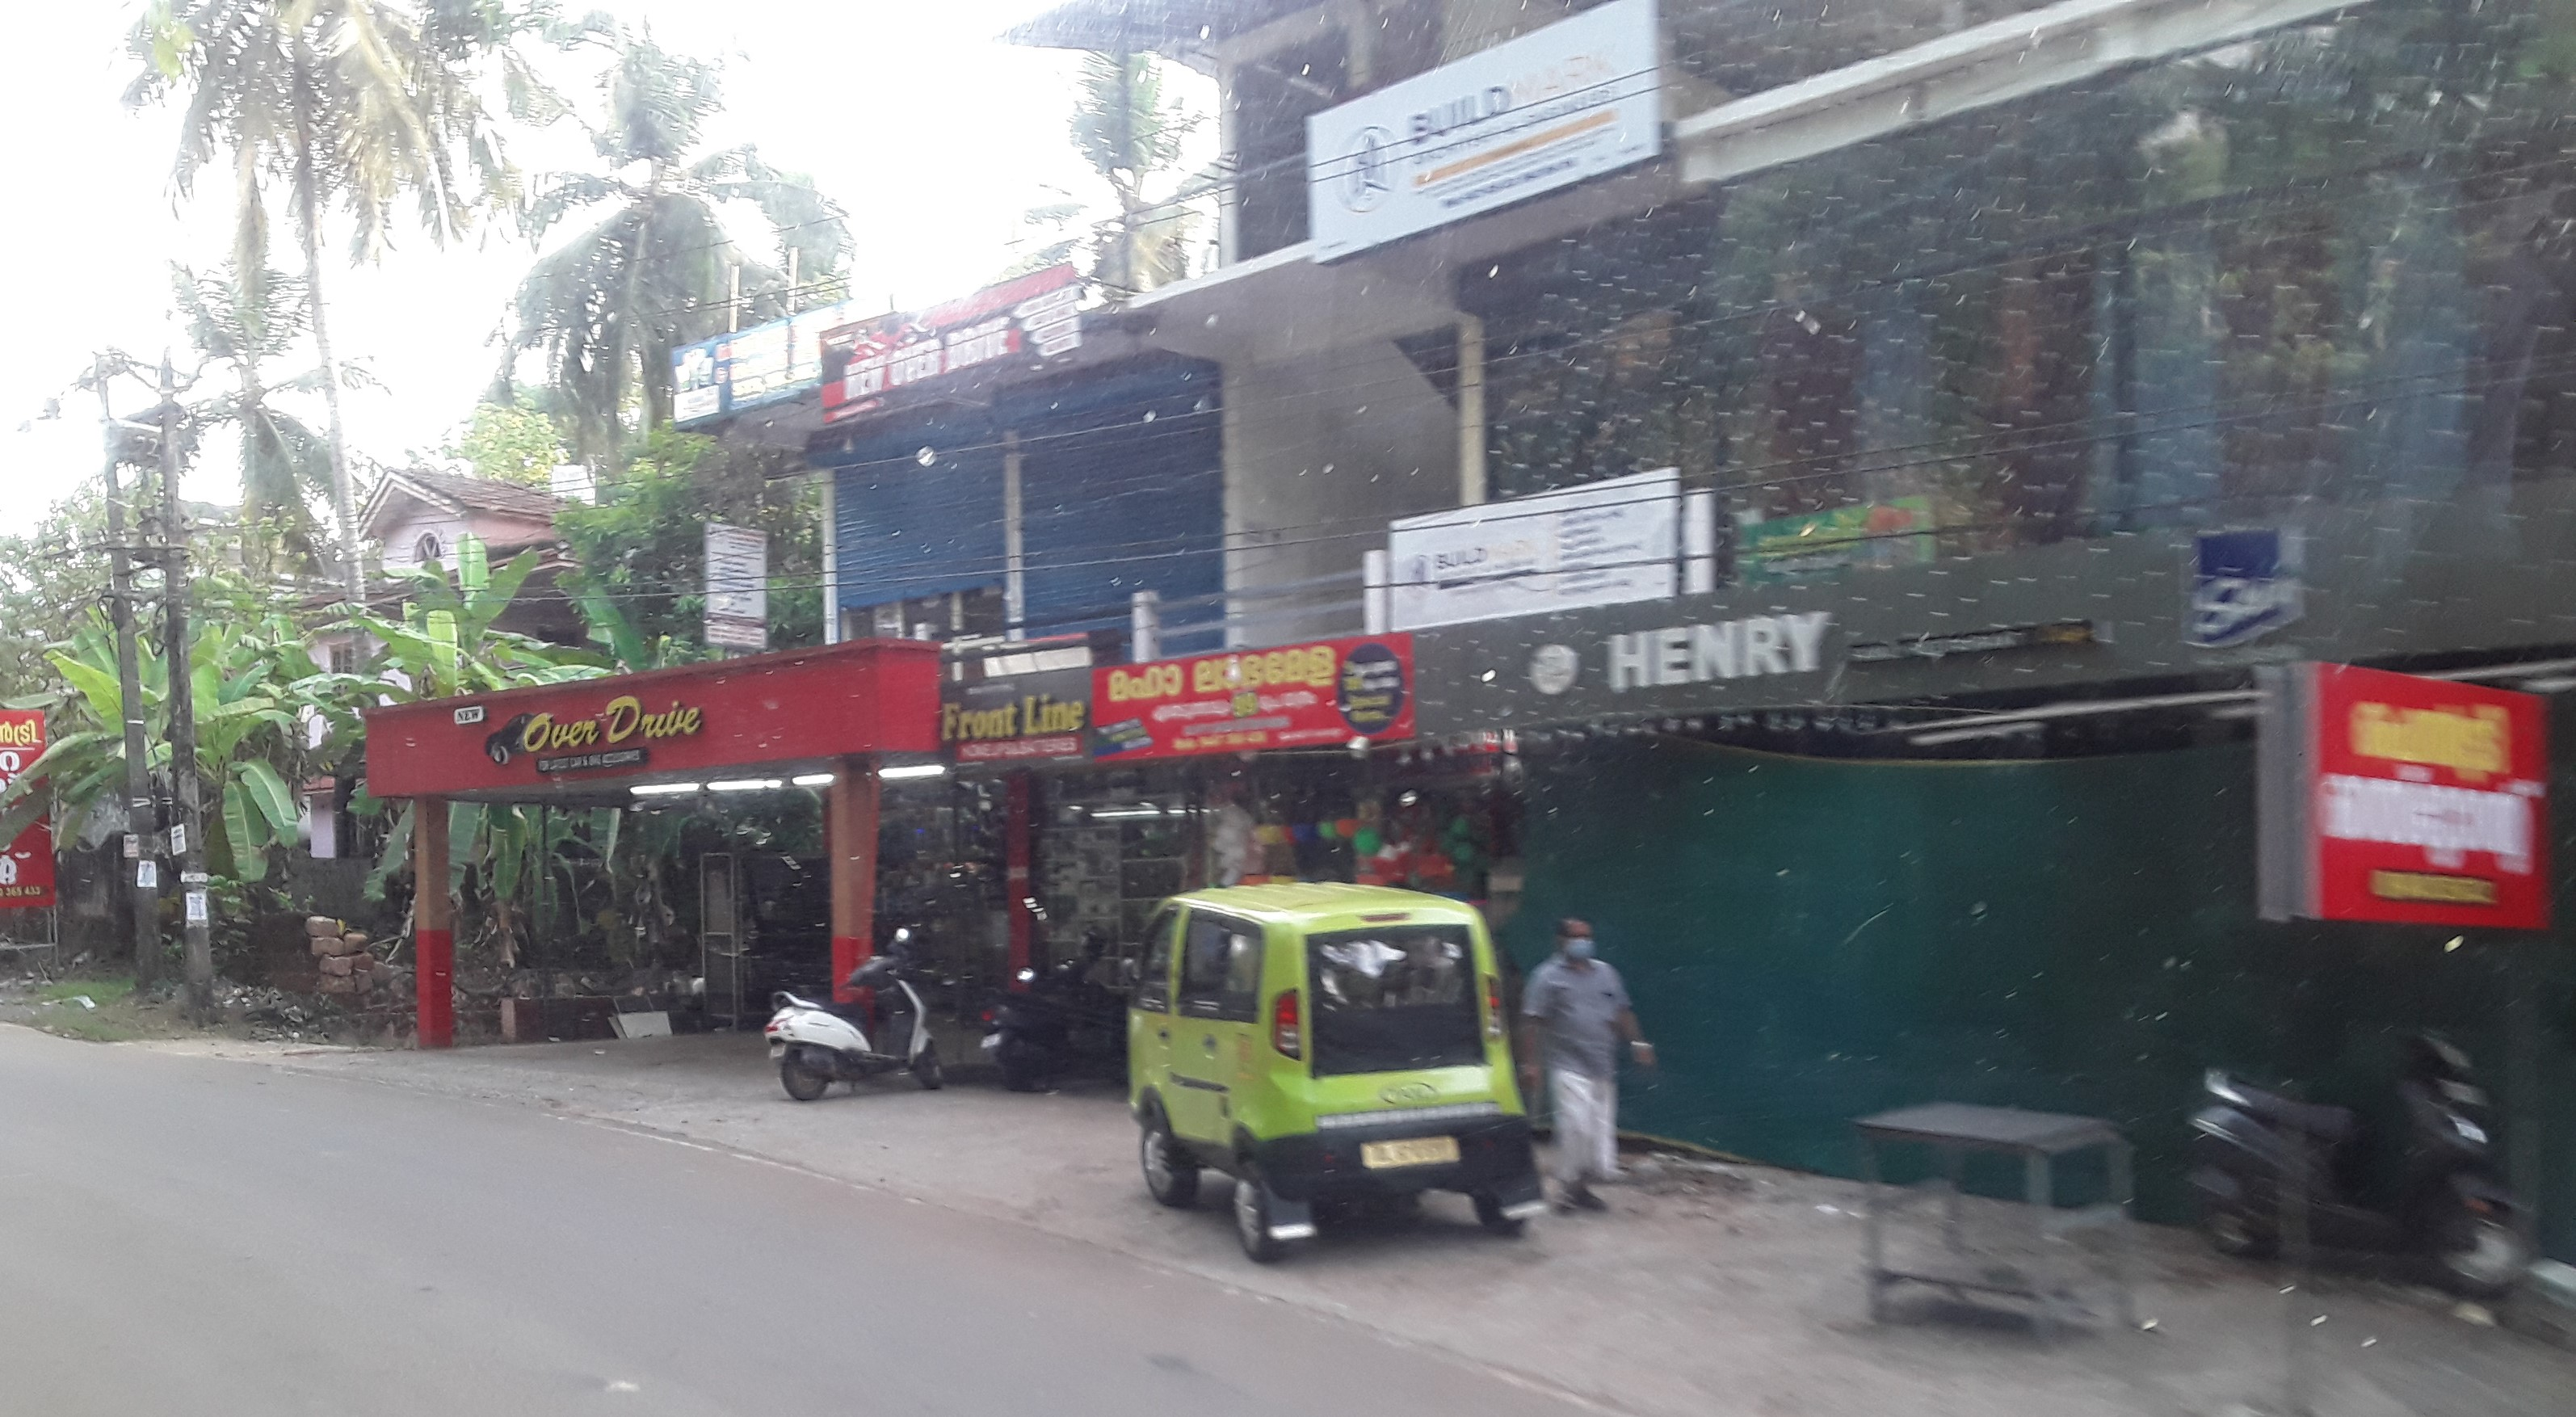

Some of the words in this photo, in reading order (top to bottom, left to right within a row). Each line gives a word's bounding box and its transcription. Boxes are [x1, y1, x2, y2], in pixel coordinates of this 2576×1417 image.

[1397, 69, 1516, 155] BUILD
[1104, 656, 1187, 705] മഹാ
[1190, 642, 1340, 696] ലാഭമേള
[1596, 597, 1834, 693] HENRY
[518, 700, 611, 757] Over
[602, 691, 702, 749] Drive
[937, 696, 1020, 743] Front
[1020, 687, 1088, 737] Line